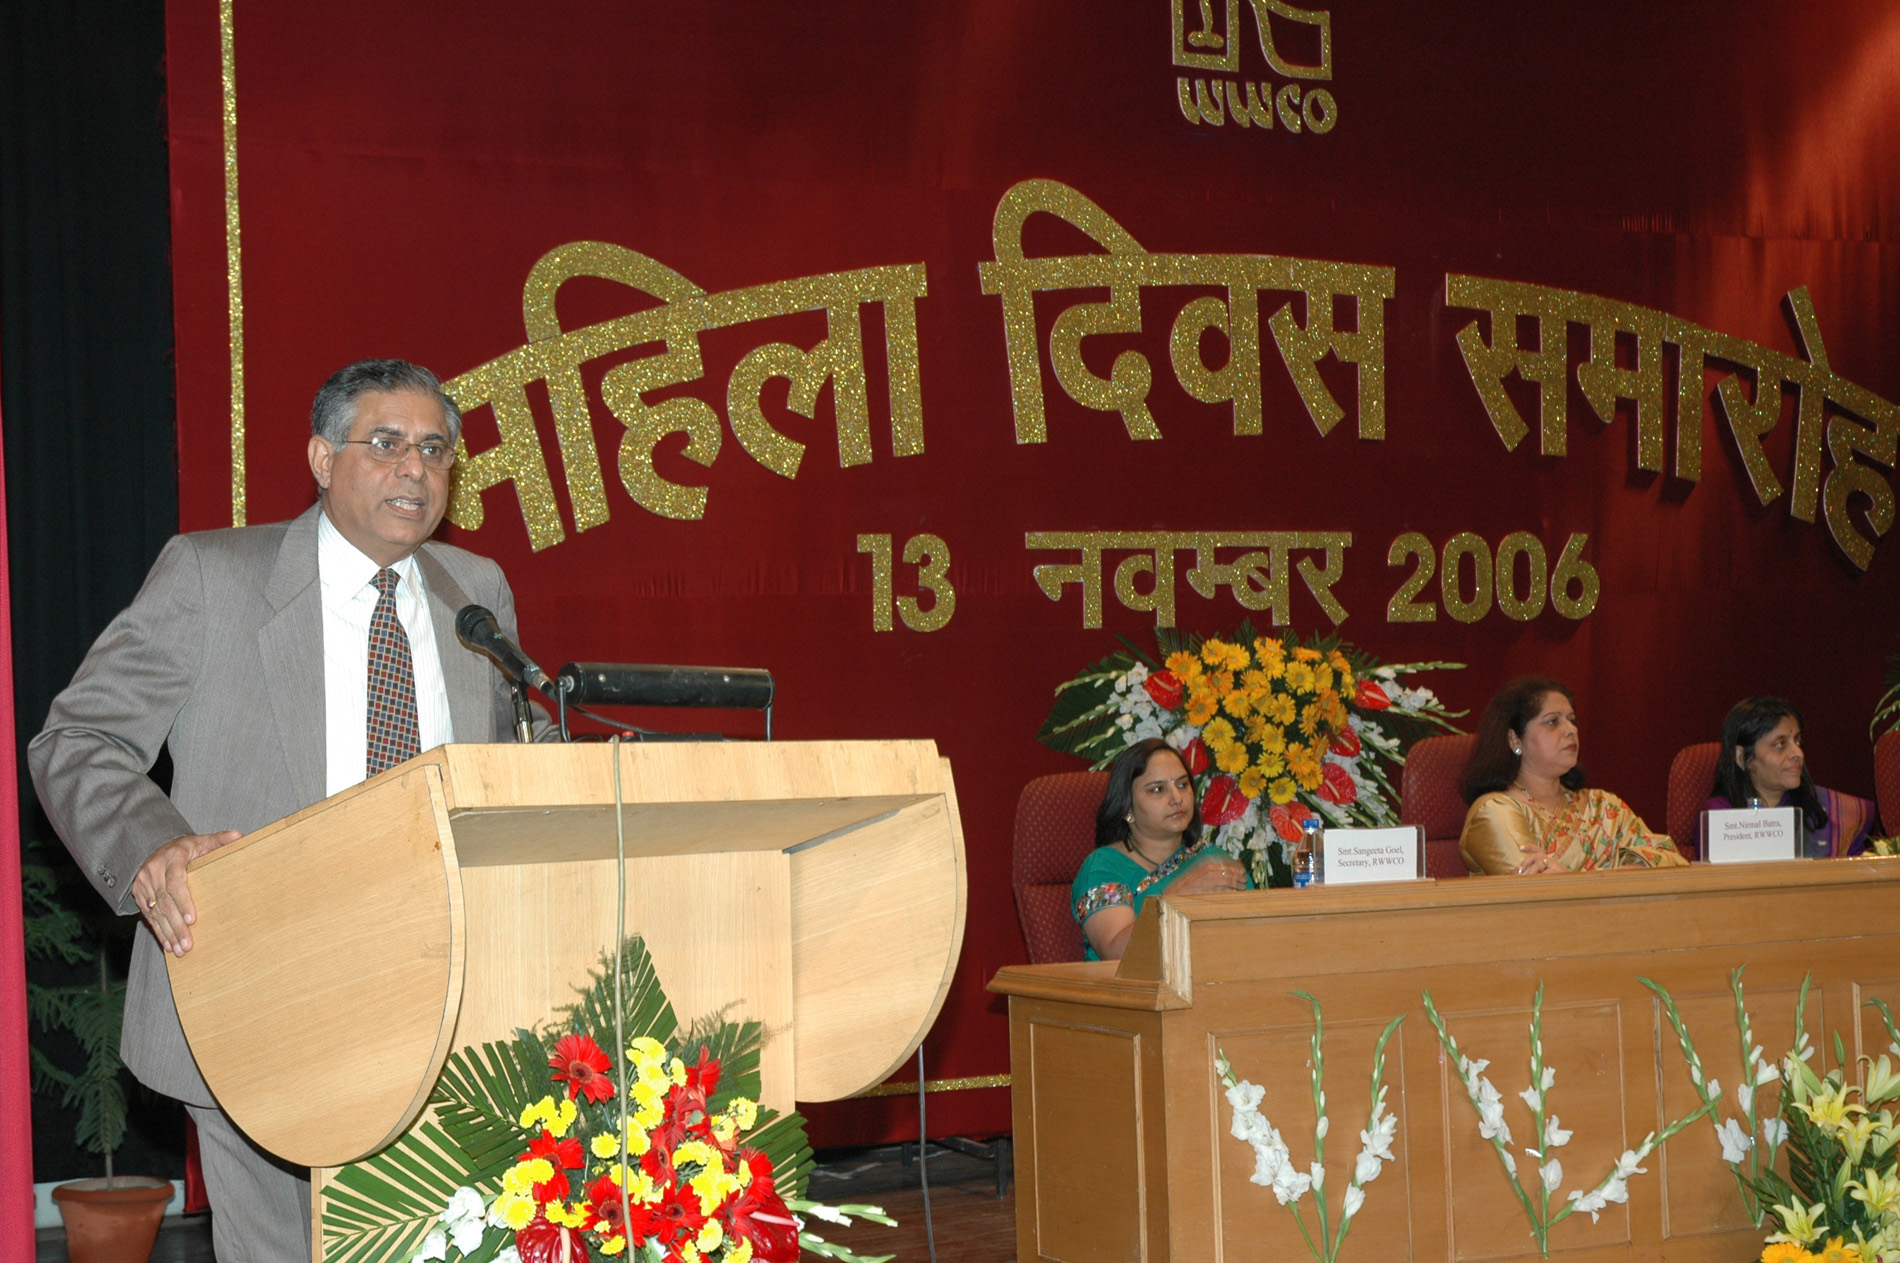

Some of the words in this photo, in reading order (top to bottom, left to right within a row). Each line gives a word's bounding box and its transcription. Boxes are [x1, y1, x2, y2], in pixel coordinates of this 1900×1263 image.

[1174, 74, 1337, 137] wwco
[973, 173, 1398, 451] दिवस
[415, 229, 936, 565] महिला
[1447, 269, 1899, 584] समारोह
[847, 518, 965, 647] 13
[1014, 524, 1359, 636] नवम्बर
[1374, 520, 1605, 633] 2006